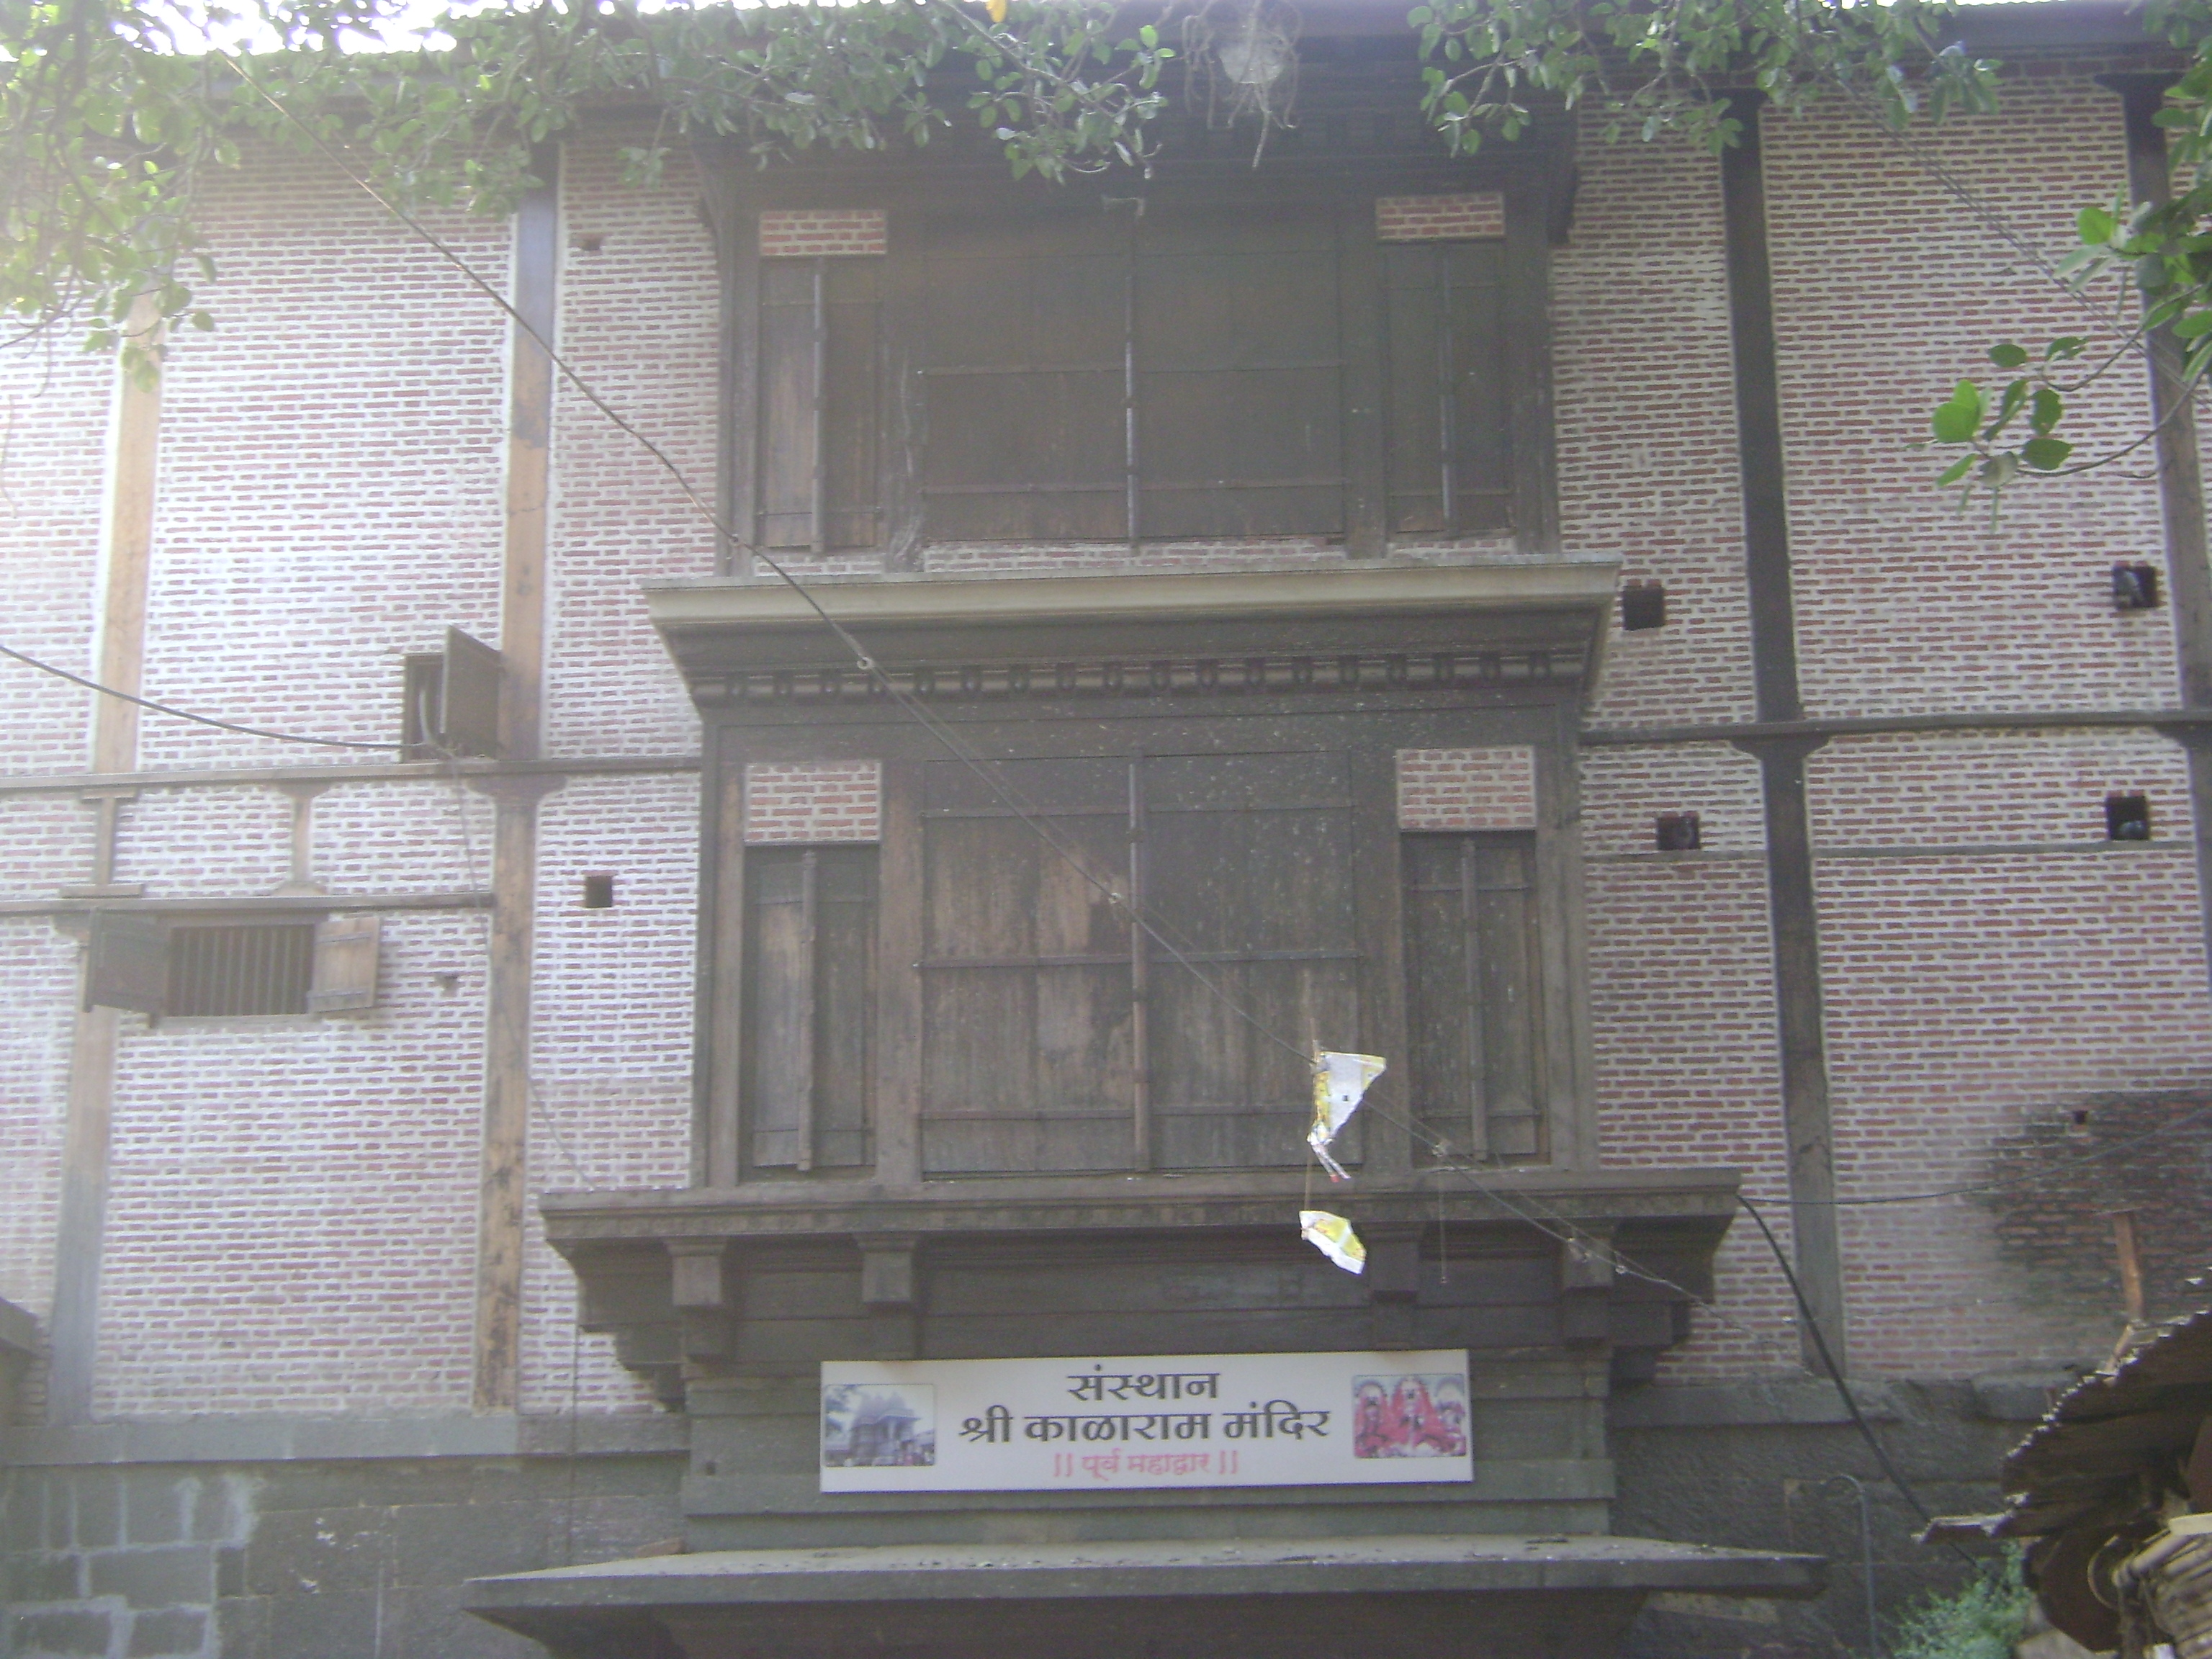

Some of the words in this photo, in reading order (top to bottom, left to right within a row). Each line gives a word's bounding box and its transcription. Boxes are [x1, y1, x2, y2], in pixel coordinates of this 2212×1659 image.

[1066, 1352, 1235, 1408] संस्थान
[954, 1398, 1020, 1459] श्री
[1022, 1408, 1218, 1449] काळाराम
[1219, 1391, 1337, 1448] मंदिर
[1078, 1445, 1124, 1485] पर्व
[1123, 1447, 1215, 1481] महाद्वार